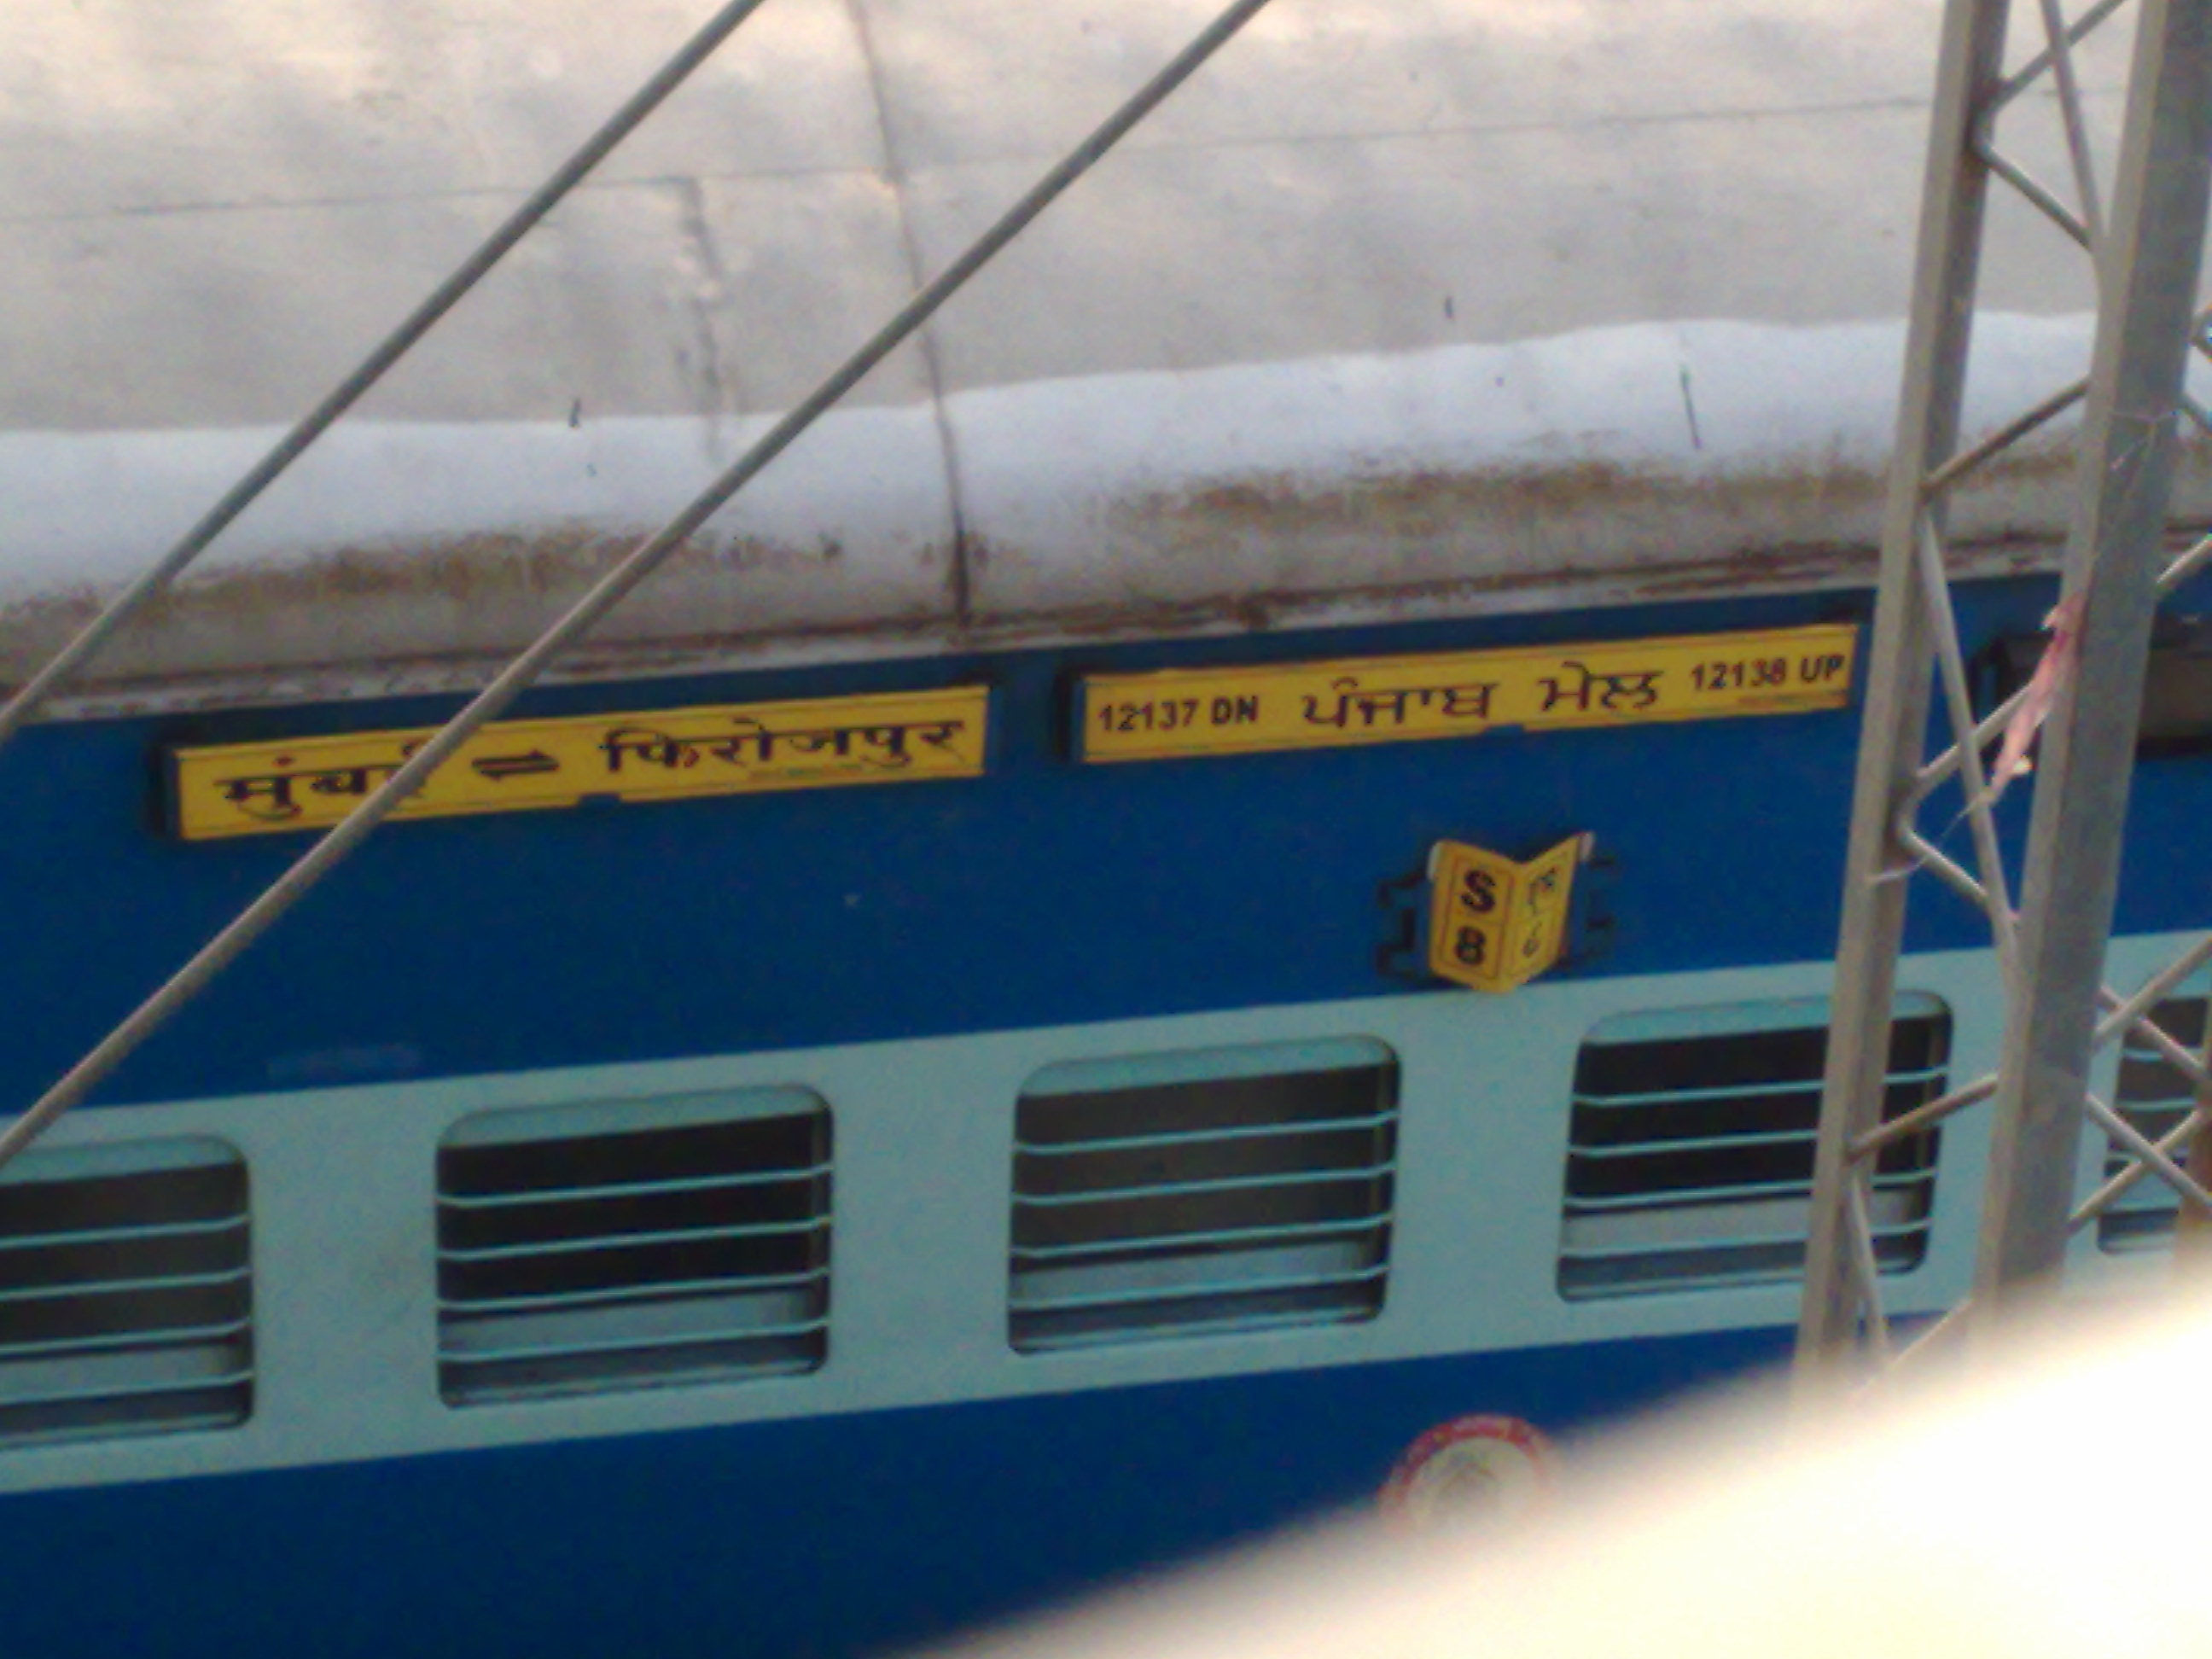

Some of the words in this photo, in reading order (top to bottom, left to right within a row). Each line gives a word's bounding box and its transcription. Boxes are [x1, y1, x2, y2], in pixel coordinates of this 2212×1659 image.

[591, 690, 985, 792] फिरोजपुर
[1087, 686, 1203, 739] 12137
[1203, 683, 1266, 736] DN
[1287, 664, 1505, 739] ਪੰਜਾਥ
[1528, 643, 1673, 724] ਮੇਲ
[1686, 649, 1796, 698] 12138
[1794, 647, 1850, 690] UP
[1452, 862, 1509, 927] S
[1441, 910, 1502, 980] 8